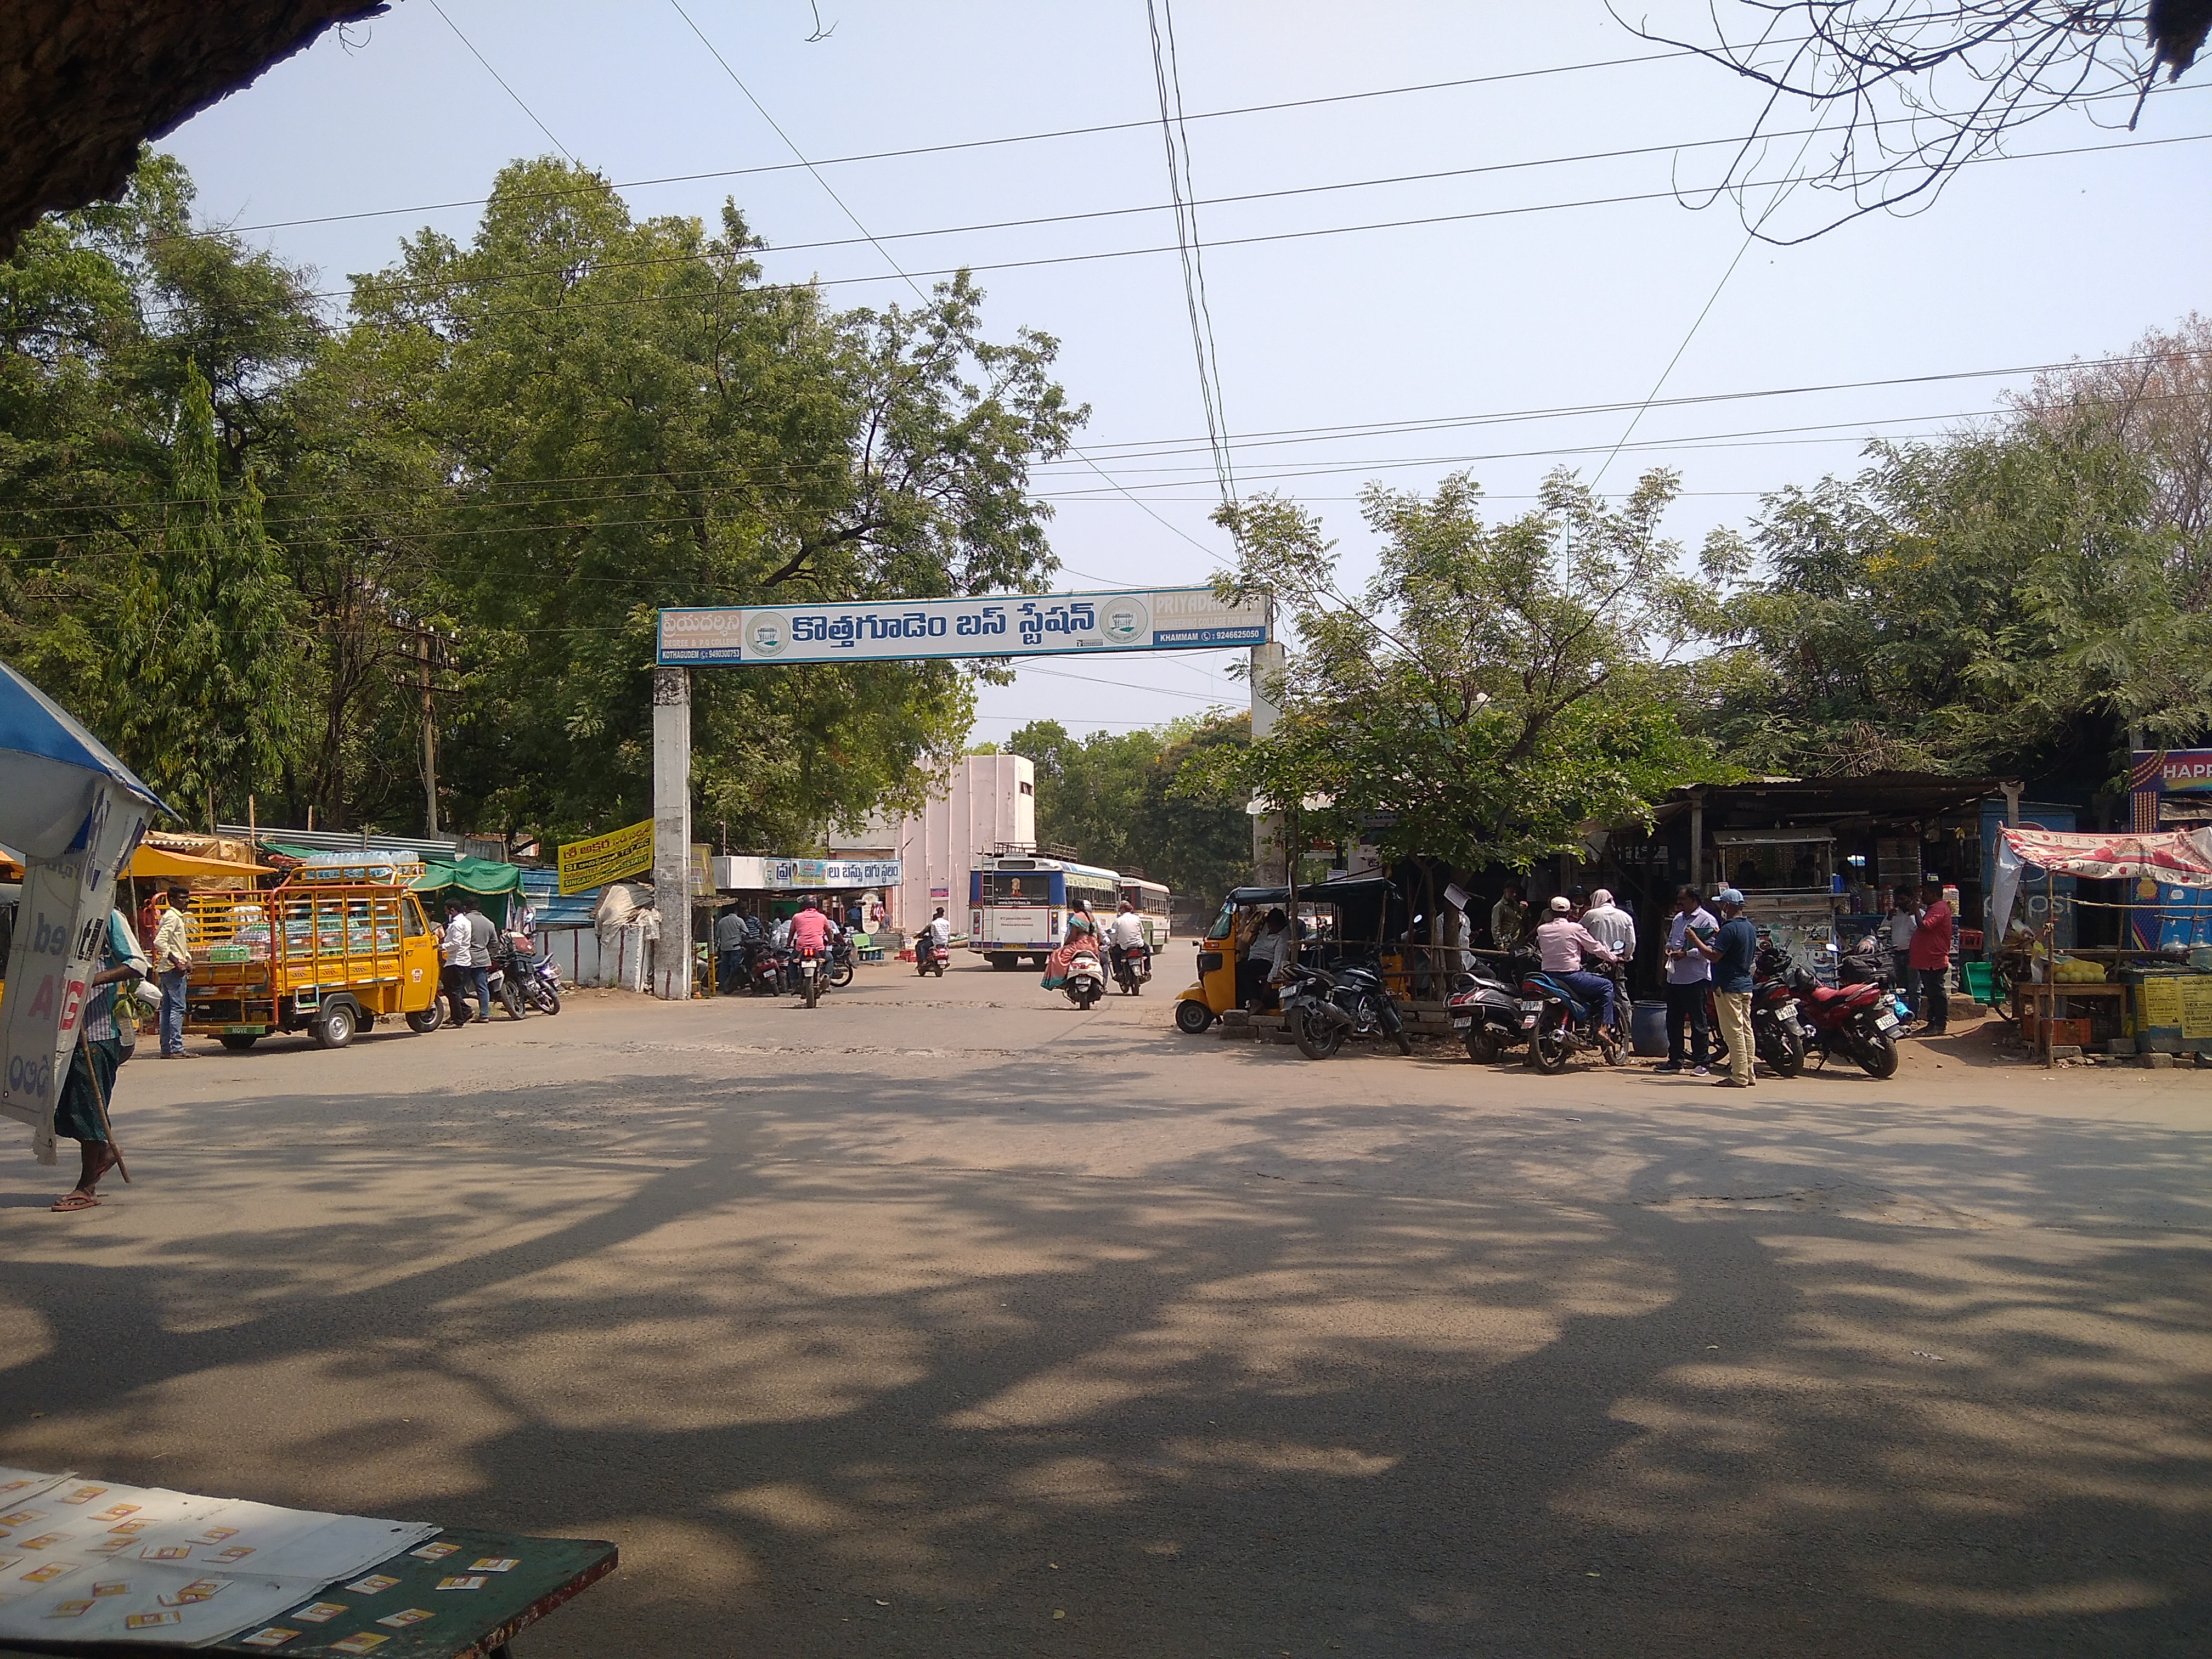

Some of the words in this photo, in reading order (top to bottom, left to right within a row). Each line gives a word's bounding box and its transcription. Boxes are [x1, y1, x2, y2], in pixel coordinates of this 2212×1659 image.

[662, 637, 690, 650] DEGREE
[655, 611, 742, 641] ప్రేయదర్శిని
[699, 636, 741, 647] P.GCOLLEGE
[787, 609, 950, 650] కొత్తగూడెం
[954, 603, 1008, 639] బస్
[1013, 597, 1096, 648] స్టేషన్
[1153, 615, 1200, 632] ENGINEERING
[1158, 630, 1201, 645] KHAMMAM
[1197, 614, 1229, 630] COLLEGE
[1224, 613, 1244, 629] FOR
[661, 648, 701, 662] KOTHAGUDEM
[707, 647, 743, 661] 9490300753
[561, 842, 581, 861] శ్రీ
[580, 835, 614, 859] అక్షర
[578, 850, 620, 871] కానిస్టేబుల్
[611, 829, 630, 849] స్టడీ
[627, 822, 653, 842] సర్పిల
[840, 862, 865, 885] బస్సు
[862, 860, 883, 879] దిగు
[876, 859, 900, 886] స్ధలం